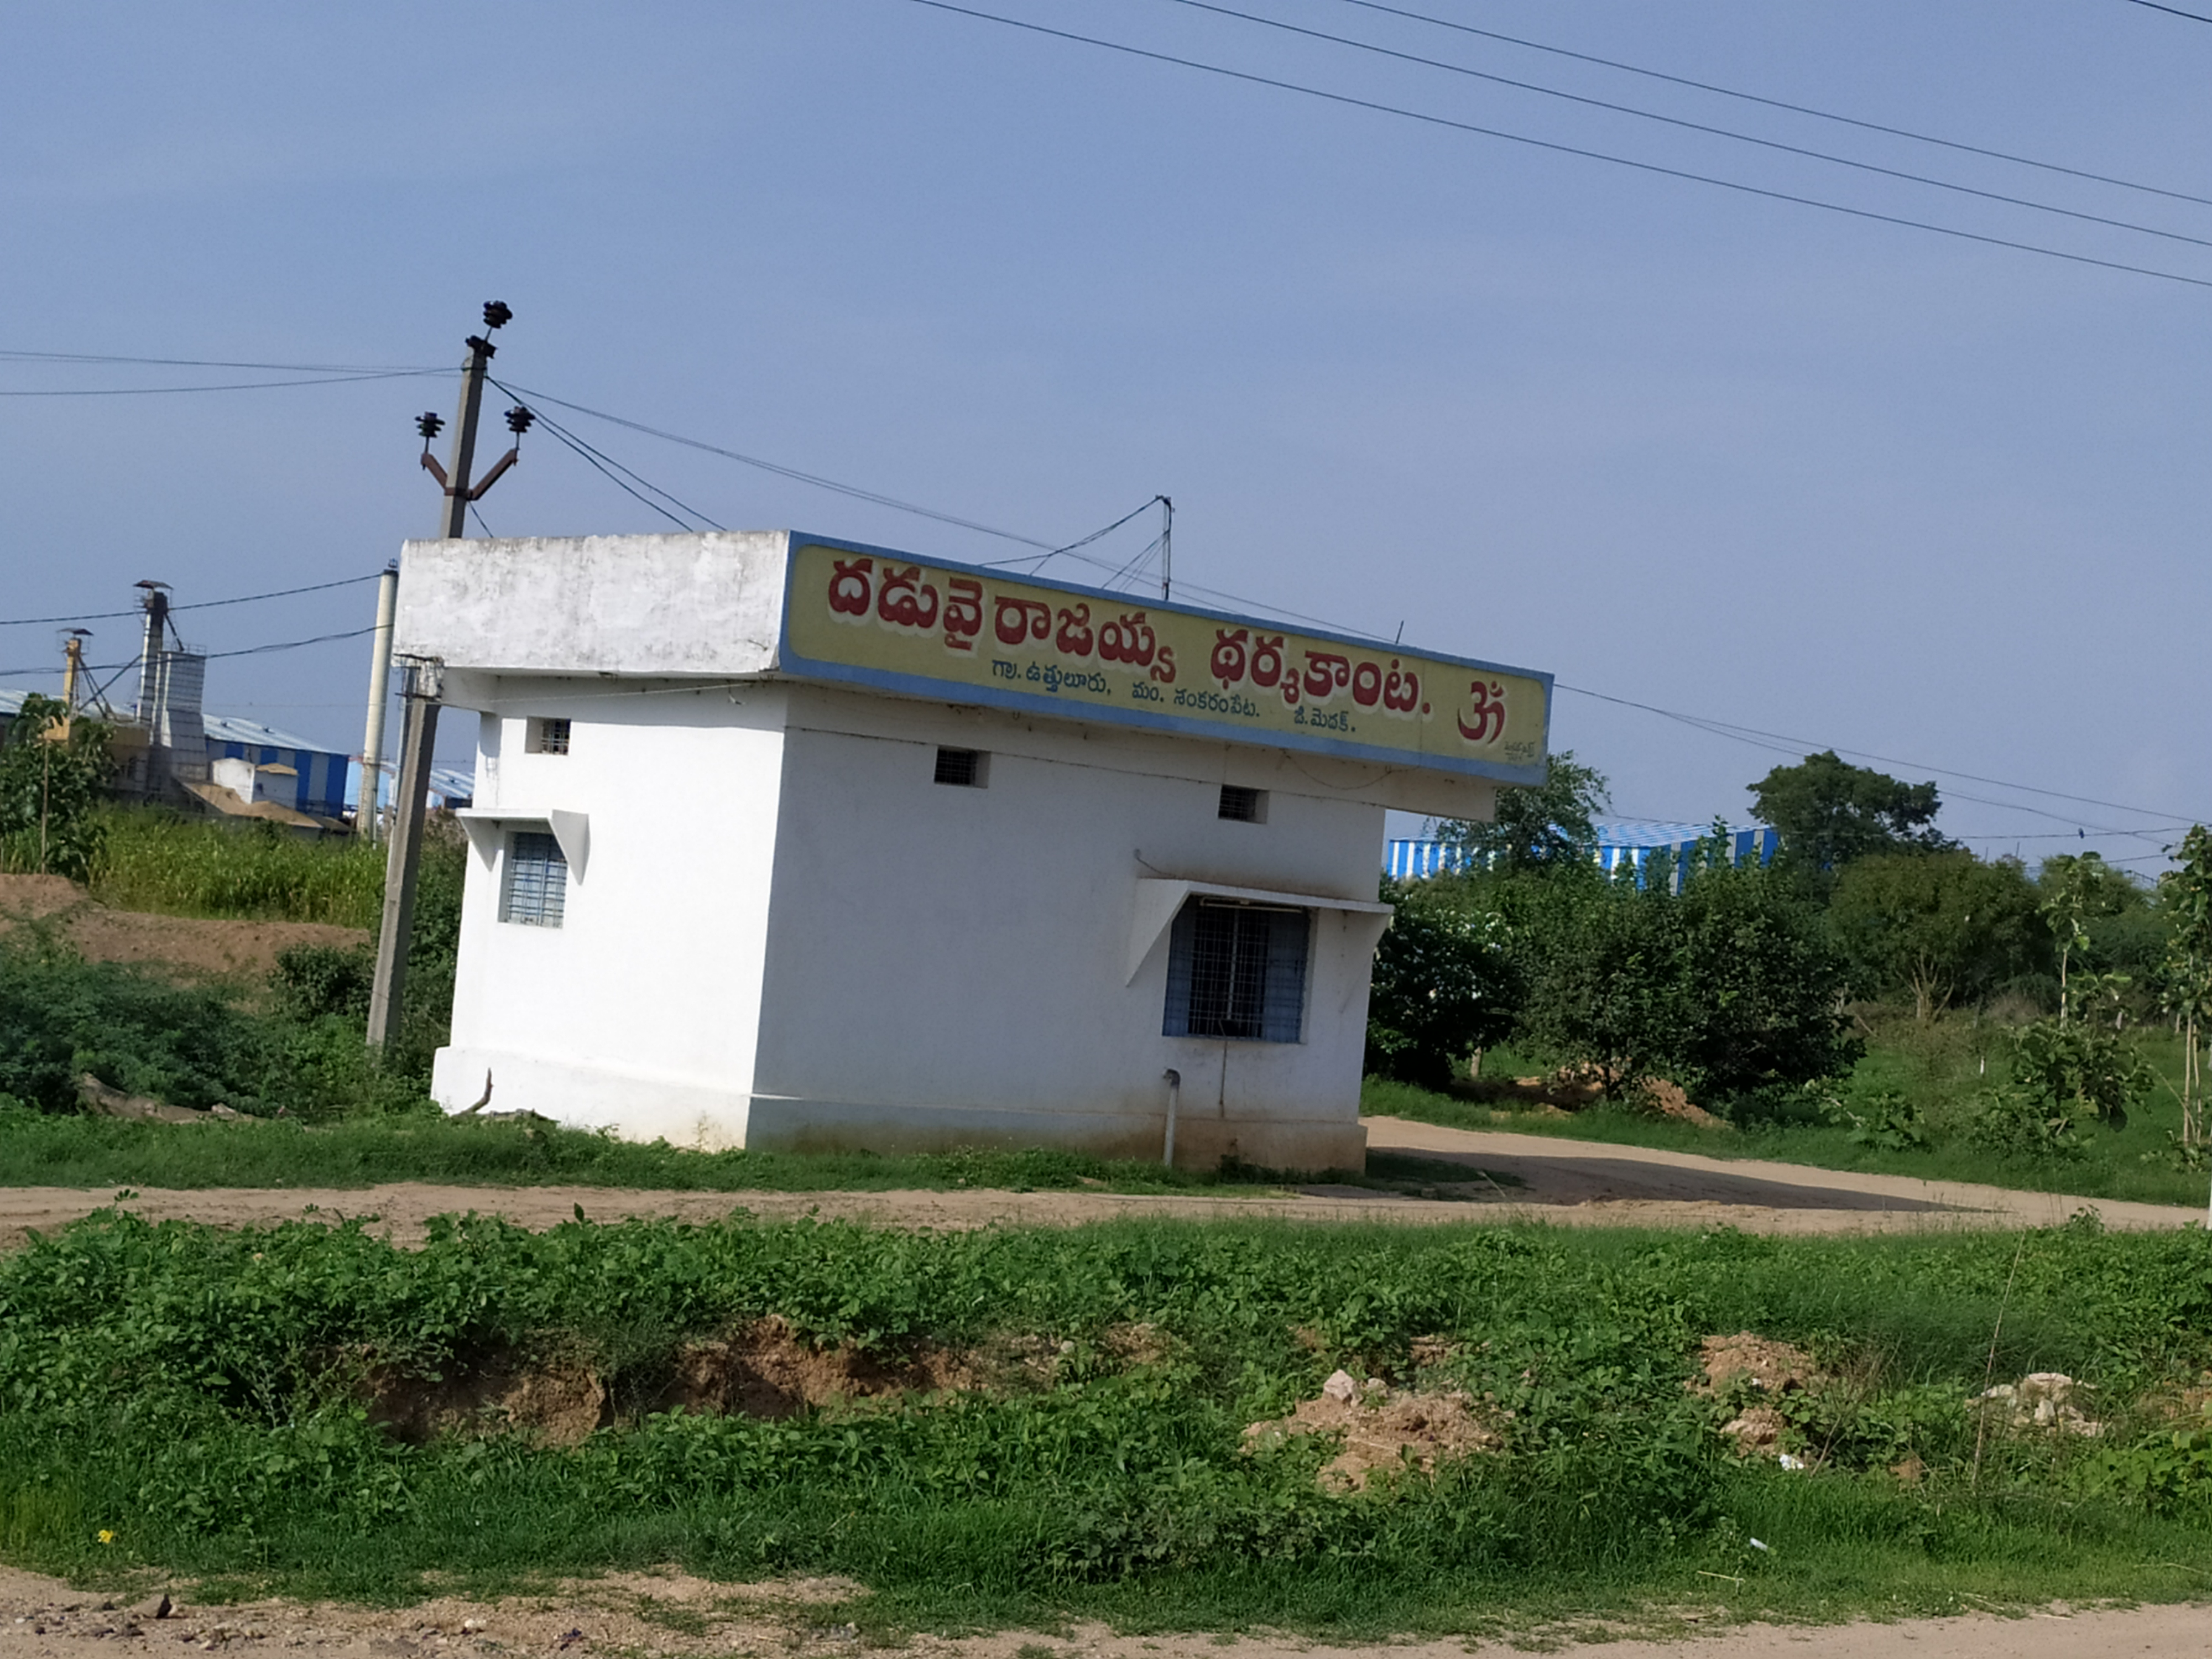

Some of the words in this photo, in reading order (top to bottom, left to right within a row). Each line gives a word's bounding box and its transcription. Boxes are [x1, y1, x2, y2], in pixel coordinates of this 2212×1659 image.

[823, 551, 990, 653] దడువై
[987, 655, 1113, 698] గ్రా, ఉత్తులూరు,
[992, 592, 1180, 686] రాజయ్య
[1128, 678, 1165, 705] మం.
[1169, 684, 1263, 719] శంకరంపేట
[1207, 624, 1438, 721] ధర్మకాంట
[1291, 702, 1359, 735] జి. మెదక్.
[1447, 676, 1510, 746] ॐ